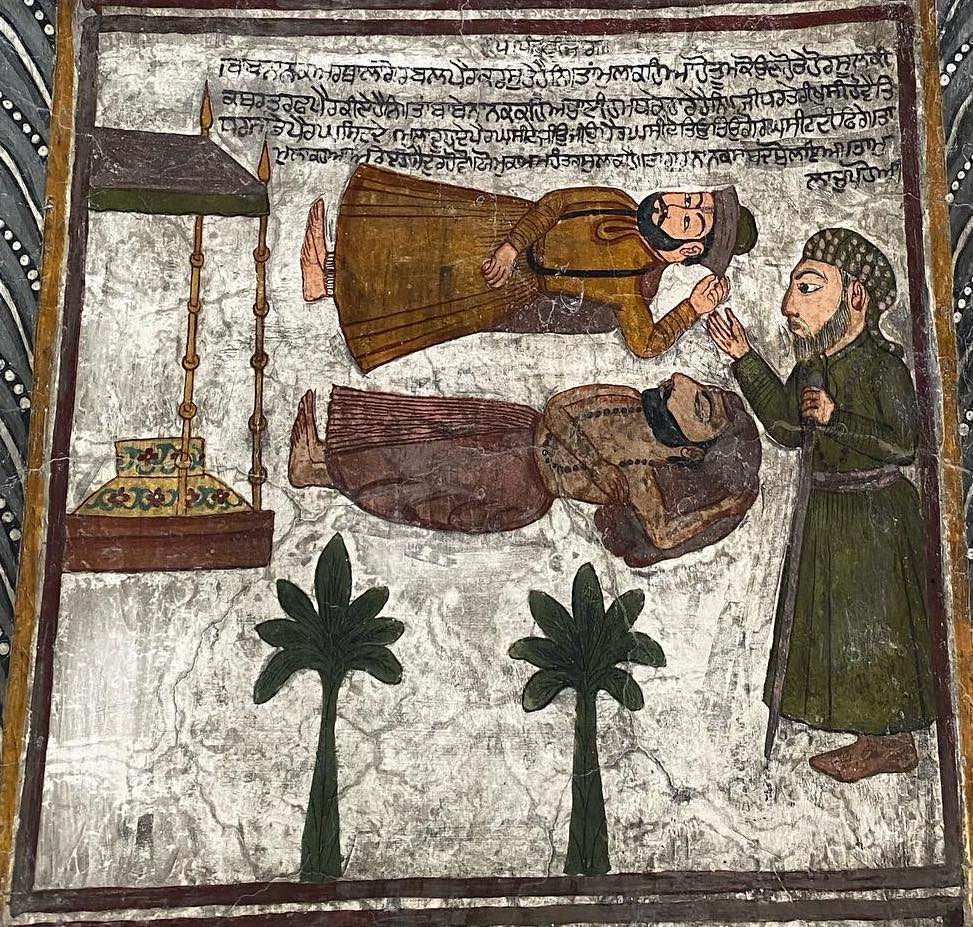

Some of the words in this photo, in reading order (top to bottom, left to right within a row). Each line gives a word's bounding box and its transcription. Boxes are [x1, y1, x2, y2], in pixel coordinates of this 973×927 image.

[285, 122, 334, 140] ਪਹਪ